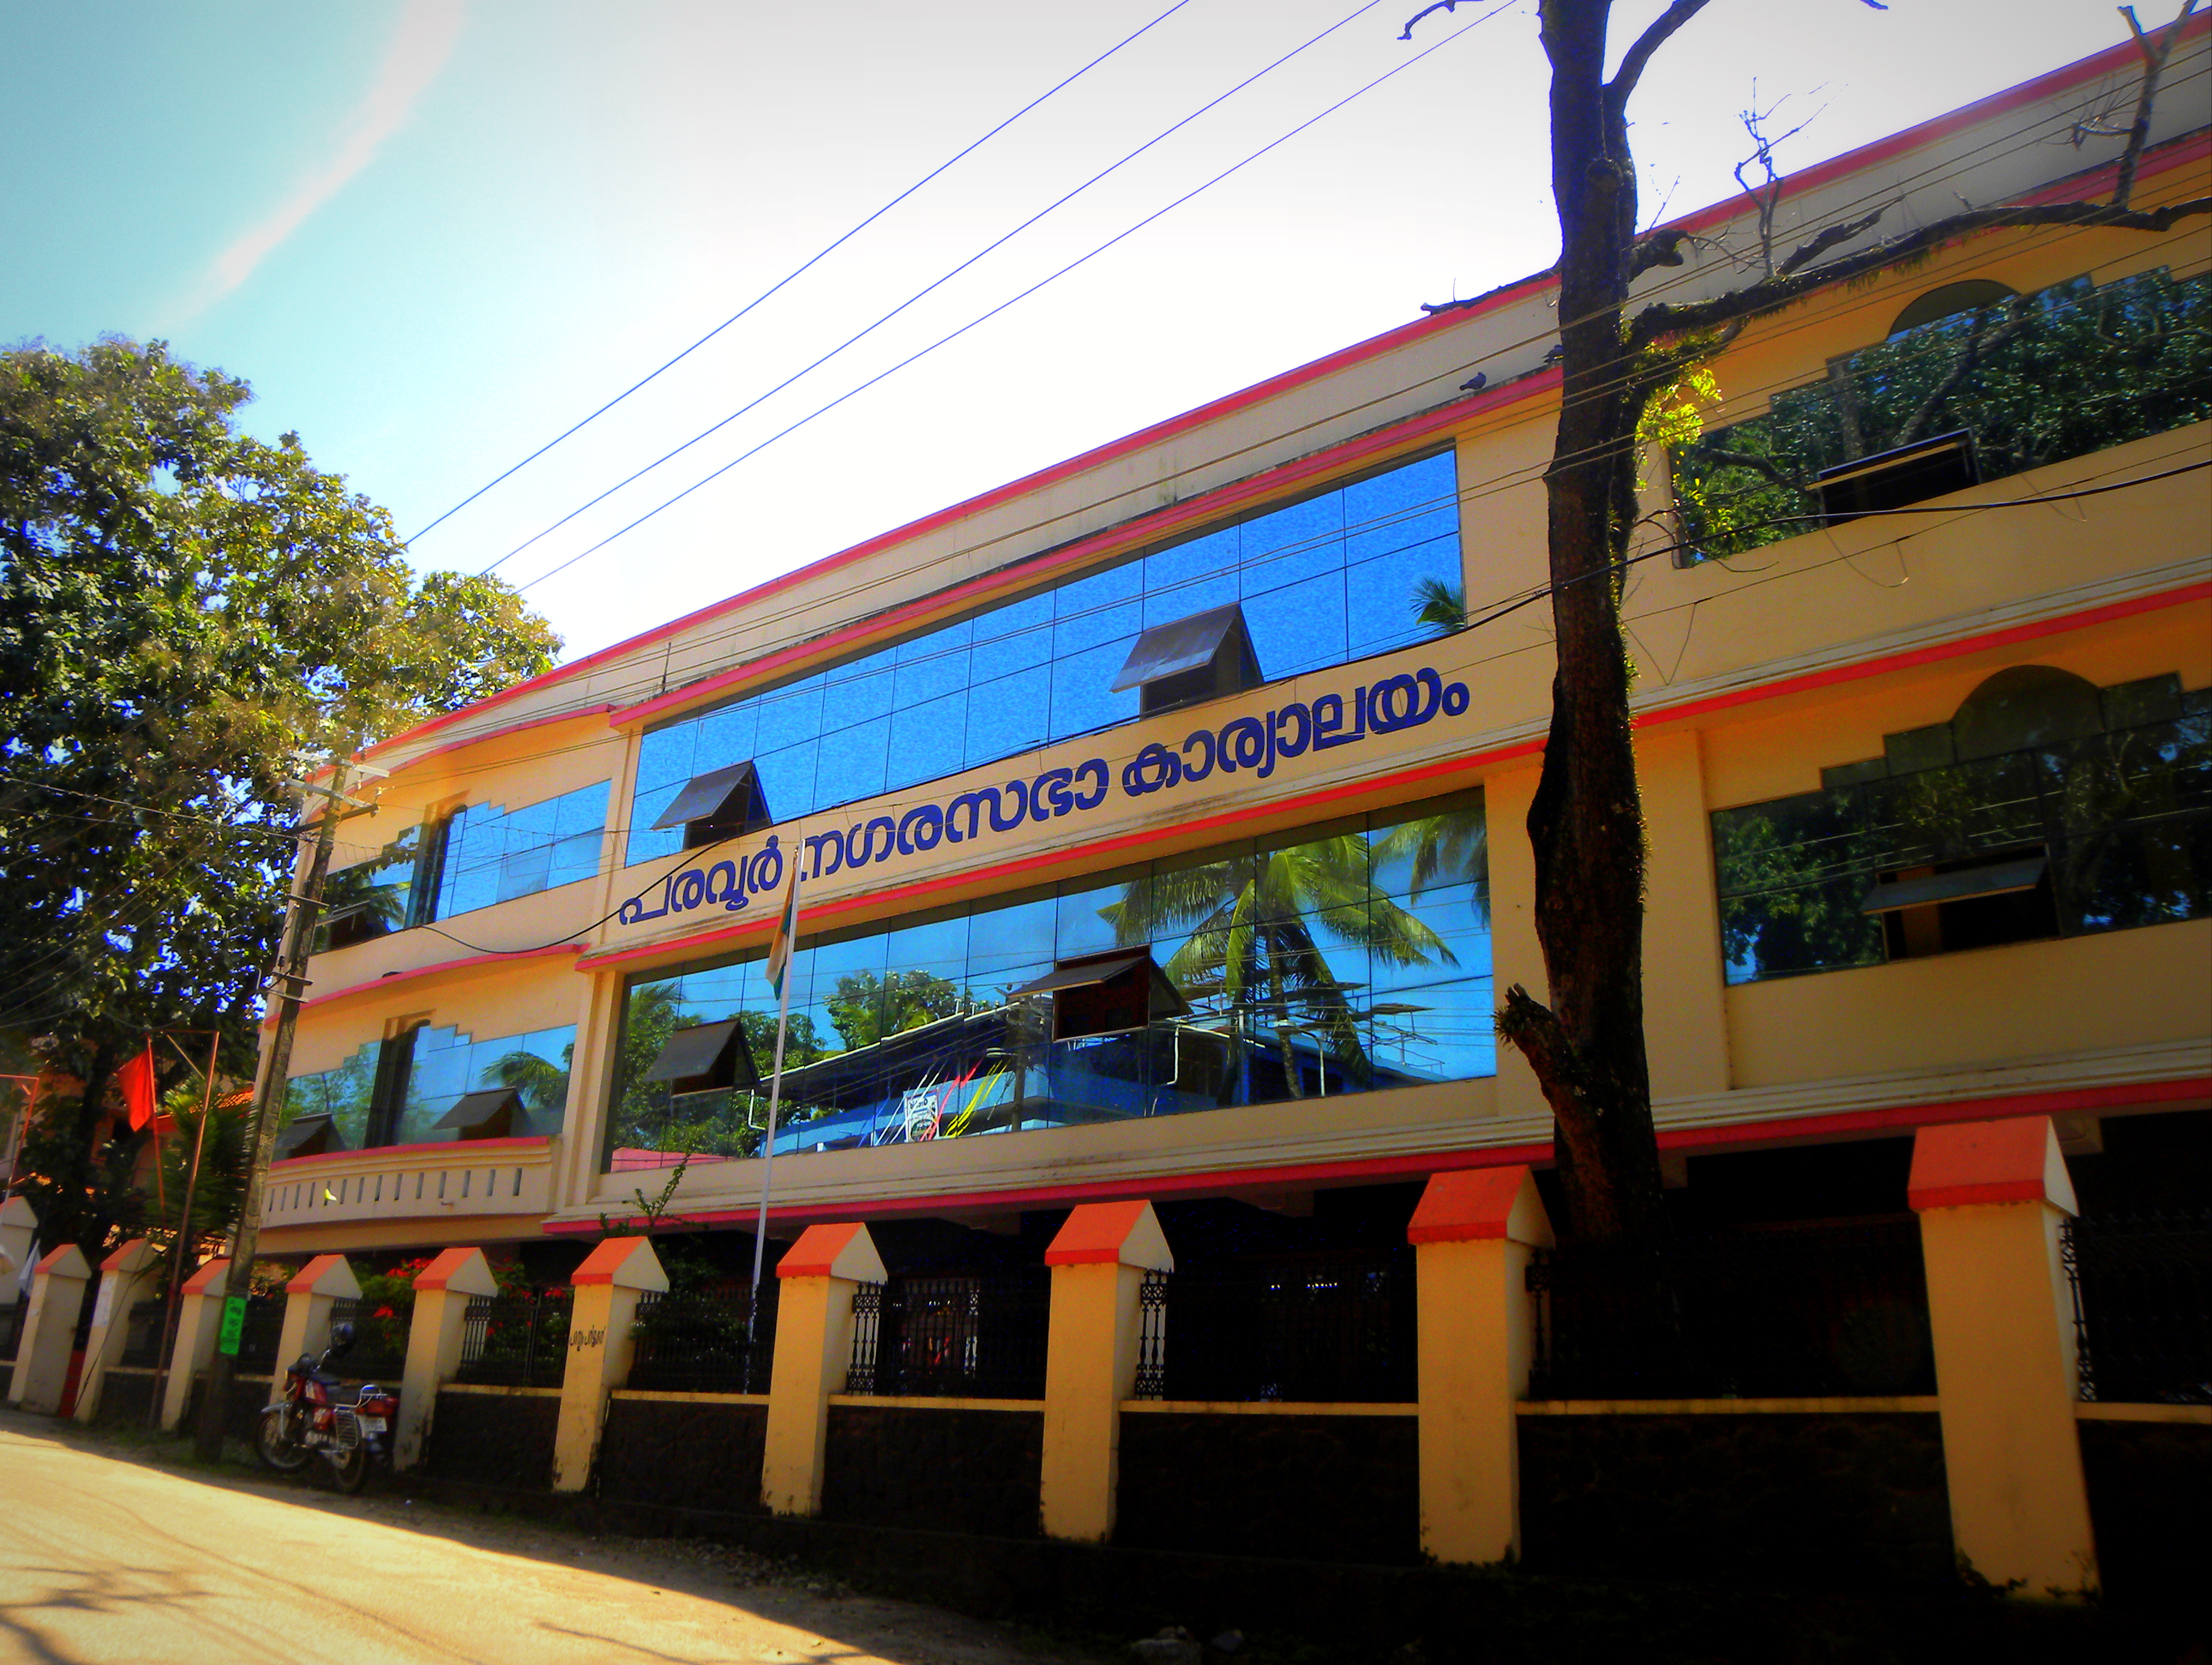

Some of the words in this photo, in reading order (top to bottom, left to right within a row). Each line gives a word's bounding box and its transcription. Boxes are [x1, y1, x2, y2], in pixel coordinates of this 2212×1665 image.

[1112, 657, 1476, 800] കാര്യാലയം
[612, 825, 787, 928] പരവൂർ
[789, 750, 1111, 888] നഗരസഭാ